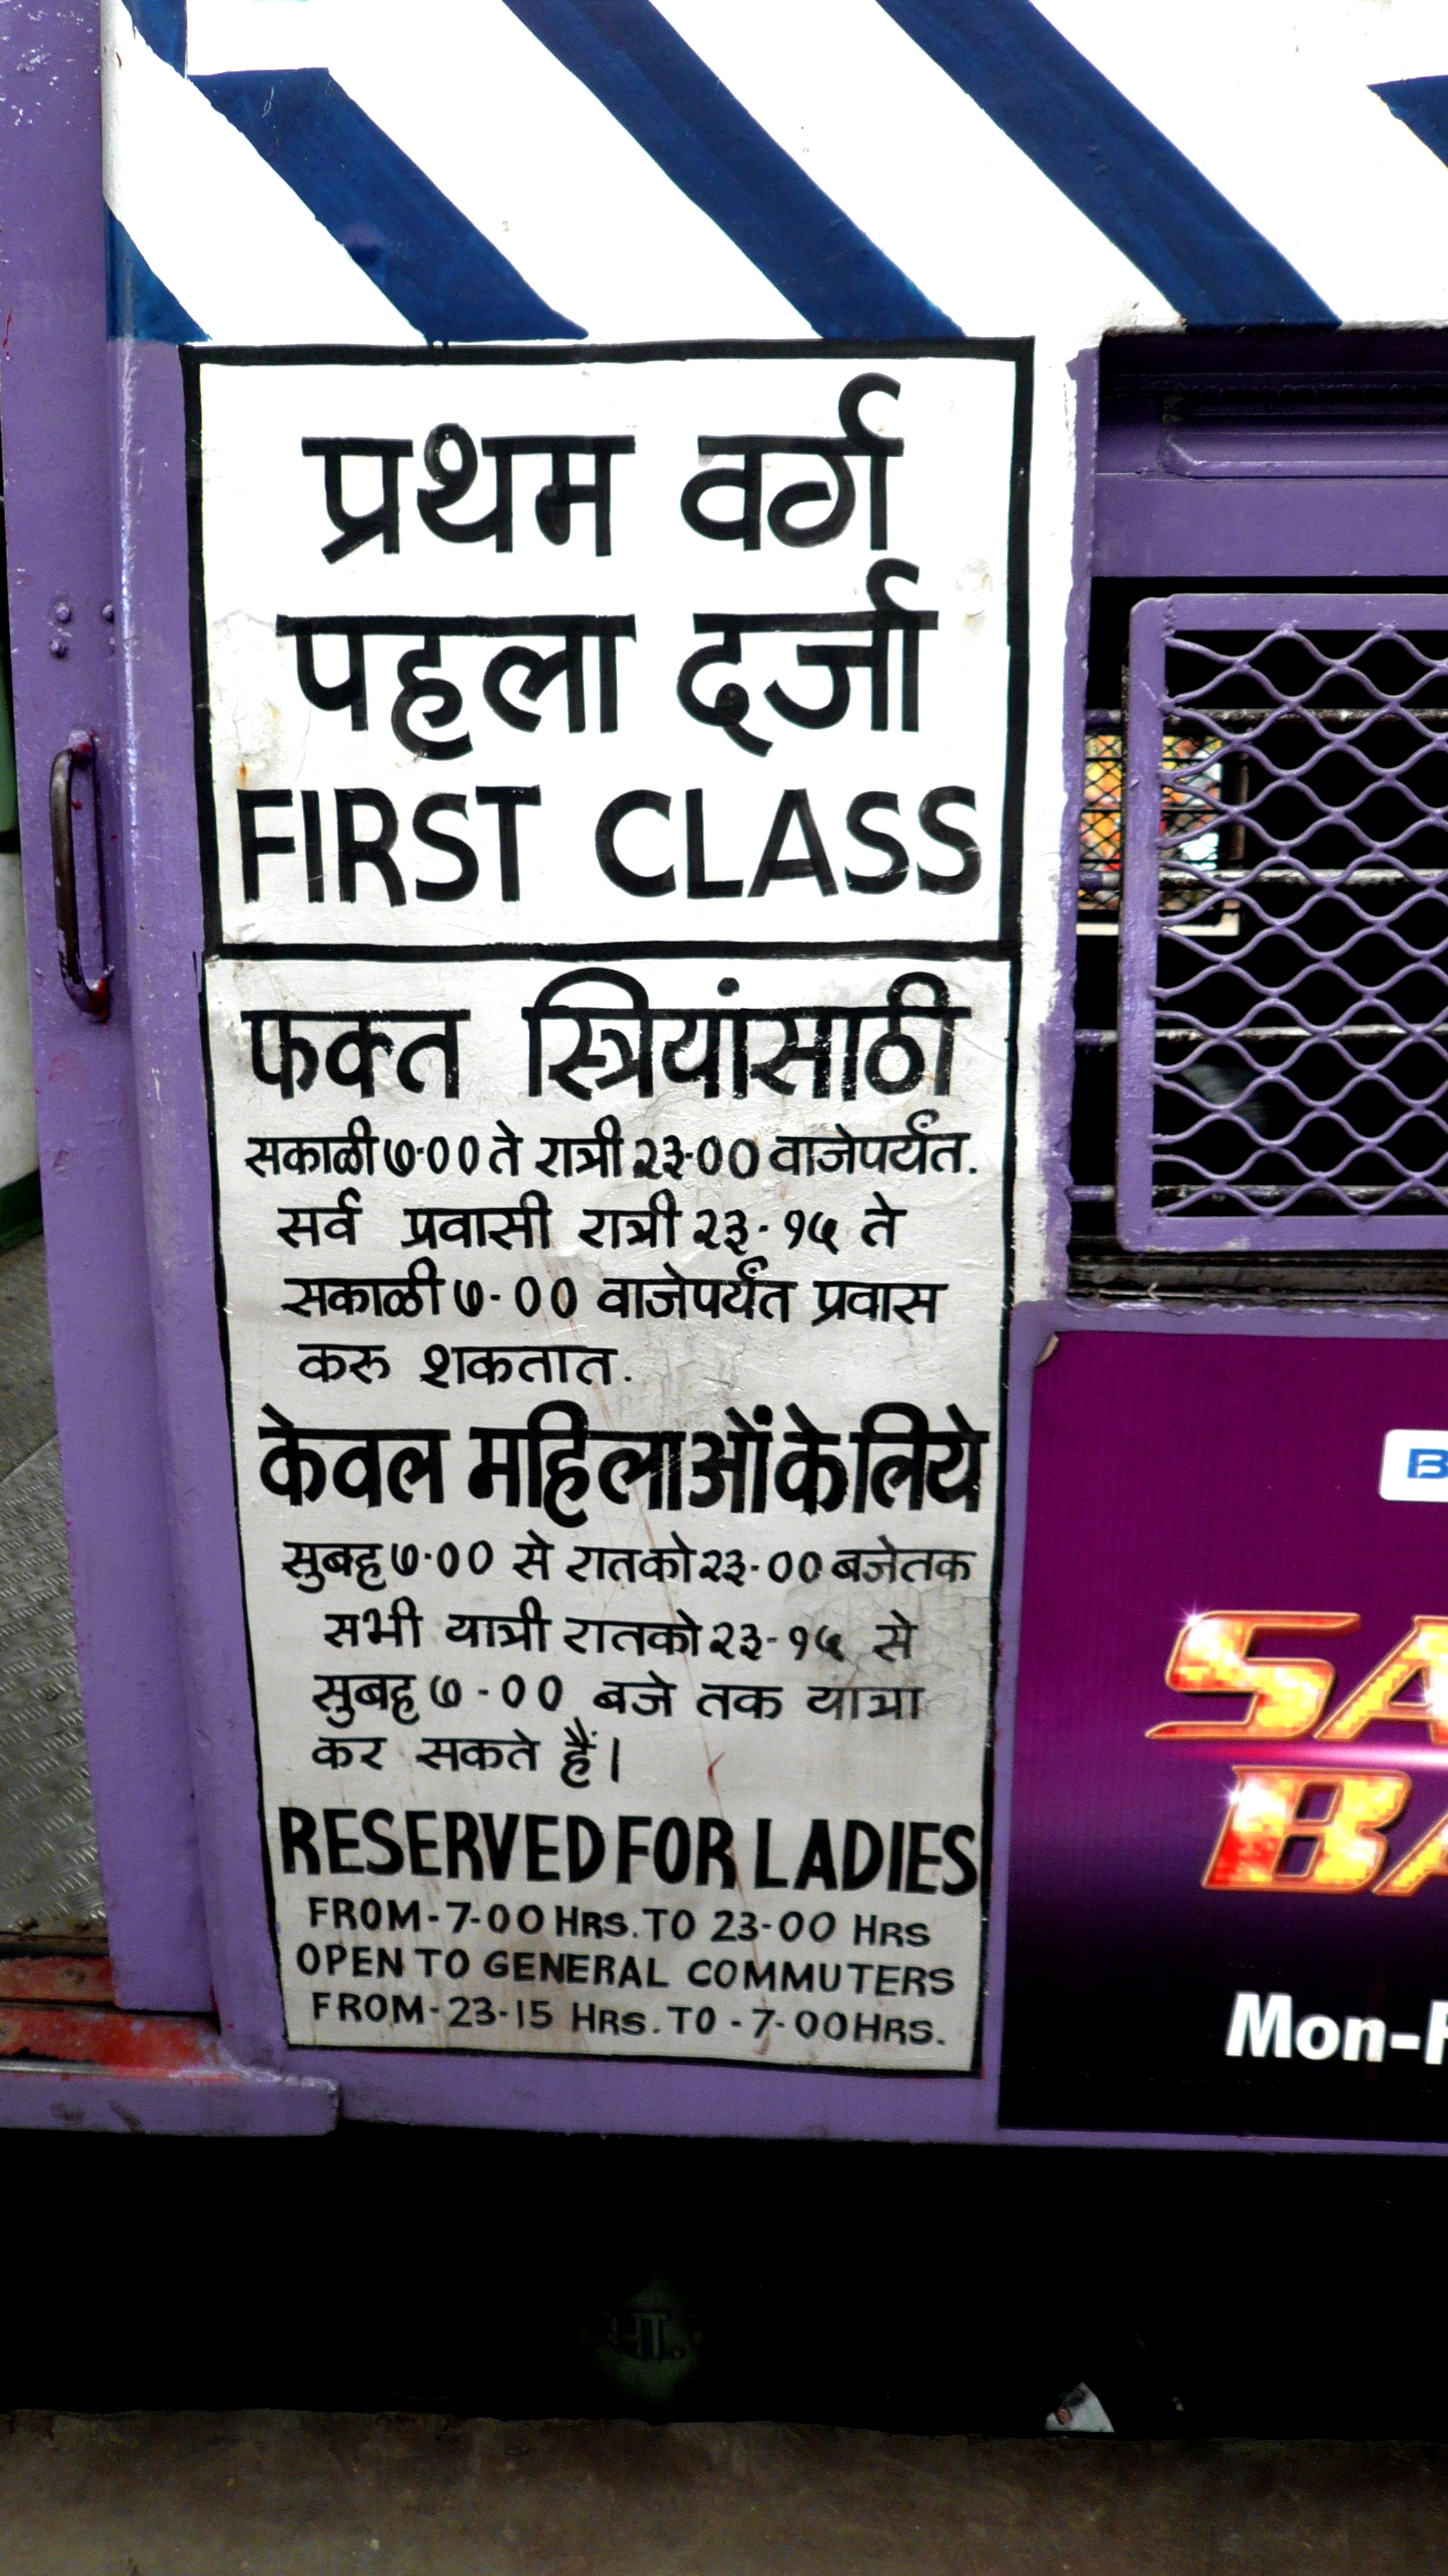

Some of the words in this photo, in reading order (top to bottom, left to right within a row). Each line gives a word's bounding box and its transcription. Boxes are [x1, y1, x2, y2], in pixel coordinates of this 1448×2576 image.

[291, 408, 645, 587] प्रथम
[671, 372, 924, 568] वर्ग
[262, 592, 650, 773] पहला
[668, 551, 956, 766] दर्जा
[229, 777, 554, 924] FIRST
[588, 765, 995, 925] CLASS
[231, 996, 483, 1115] फक्त
[517, 965, 980, 1114] स्त्रियांसाठी
[231, 1108, 388, 1191] सकाळी
[377, 1126, 484, 1181] ७-००
[481, 1112, 527, 1187] ते
[525, 1108, 628, 1188] रात्री
[627, 1128, 763, 1185] २३-००
[763, 1104, 986, 1189] वाजेपर्यंत
[267, 1182, 368, 1253] सर्व
[392, 1188, 560, 1262] प्रवासी
[567, 1185, 688, 1256] रात्री
[687, 1199, 753, 1259] २३
[775, 1198, 844, 1260] 9५
[850, 1190, 913, 1260] ते
[272, 1254, 448, 1332] सकाळी
[446, 1269, 488, 1325] ७
[502, 1264, 584, 1329] 00
[593, 1252, 805, 1340] वाजेपर्यंत
[804, 1276, 953, 1336] प्रवास
[285, 1335, 395, 1388] करु
[408, 1332, 643, 1398] शकतात.
[243, 1394, 459, 1517] केवल
[458, 1392, 780, 1533] महिलाओं
[771, 1396, 852, 1525] के
[842, 1392, 994, 1524] लिये
[1394, 1436, 1448, 1495] B
[273, 1531, 392, 1601] सुबह
[388, 1529, 496, 1586] ७-००
[500, 1528, 563, 1593] से
[564, 1533, 648, 1591] रात
[636, 1526, 701, 1591] को
[696, 1543, 763, 1594] २३-
[761, 1541, 826, 1593] ००
[824, 1535, 980, 1595] बजेतक
[307, 1593, 423, 1655] सभी
[433, 1591, 555, 1663] यात्री
[558, 1602, 709, 1667] रातको
[704, 1613, 766, 1670] २३
[779, 1610, 848, 1671] १५
[863, 1602, 926, 1671] से
[303, 1667, 426, 1732] सुबह
[423, 1669, 468, 1716] ७
[495, 1664, 573, 1719] ००
[584, 1667, 685, 1730] बजे
[689, 1677, 787, 1726] तक
[801, 1679, 927, 1724] यात्रा
[1136, 1597, 1364, 1757] 5
[300, 1729, 402, 1781] कर
[408, 1724, 546, 1785] सकते
[548, 1707, 633, 1794] हैं।
[272, 1794, 612, 1891] RESERVED
[608, 1807, 750, 1898] FOR
[748, 1803, 982, 1908] LADIES
[1186, 1756, 1422, 1919] B
[291, 1936, 411, 1981] OPEN
[301, 1984, 430, 2032] FROM
[300, 1888, 439, 1937] FROM-
[411, 1938, 475, 1988] TO
[441, 1888, 550, 1940] 7-00
[444, 1989, 560, 2036] 23-15
[481, 1946, 678, 1997] GENERAL
[548, 1899, 639, 1944] HRS.
[567, 1997, 647, 2042] HRS
[638, 1898, 702, 1948] TO
[661, 1997, 718, 2044] TO
[704, 1900, 840, 1949] 23-00
[743, 2002, 851, 2050] 7-00
[689, 1956, 956, 2001] COMMUTERS
[844, 1904, 937, 1958] HRS
[846, 2009, 950, 2053] HRS.
[1210, 1977, 1422, 2081] Mon-